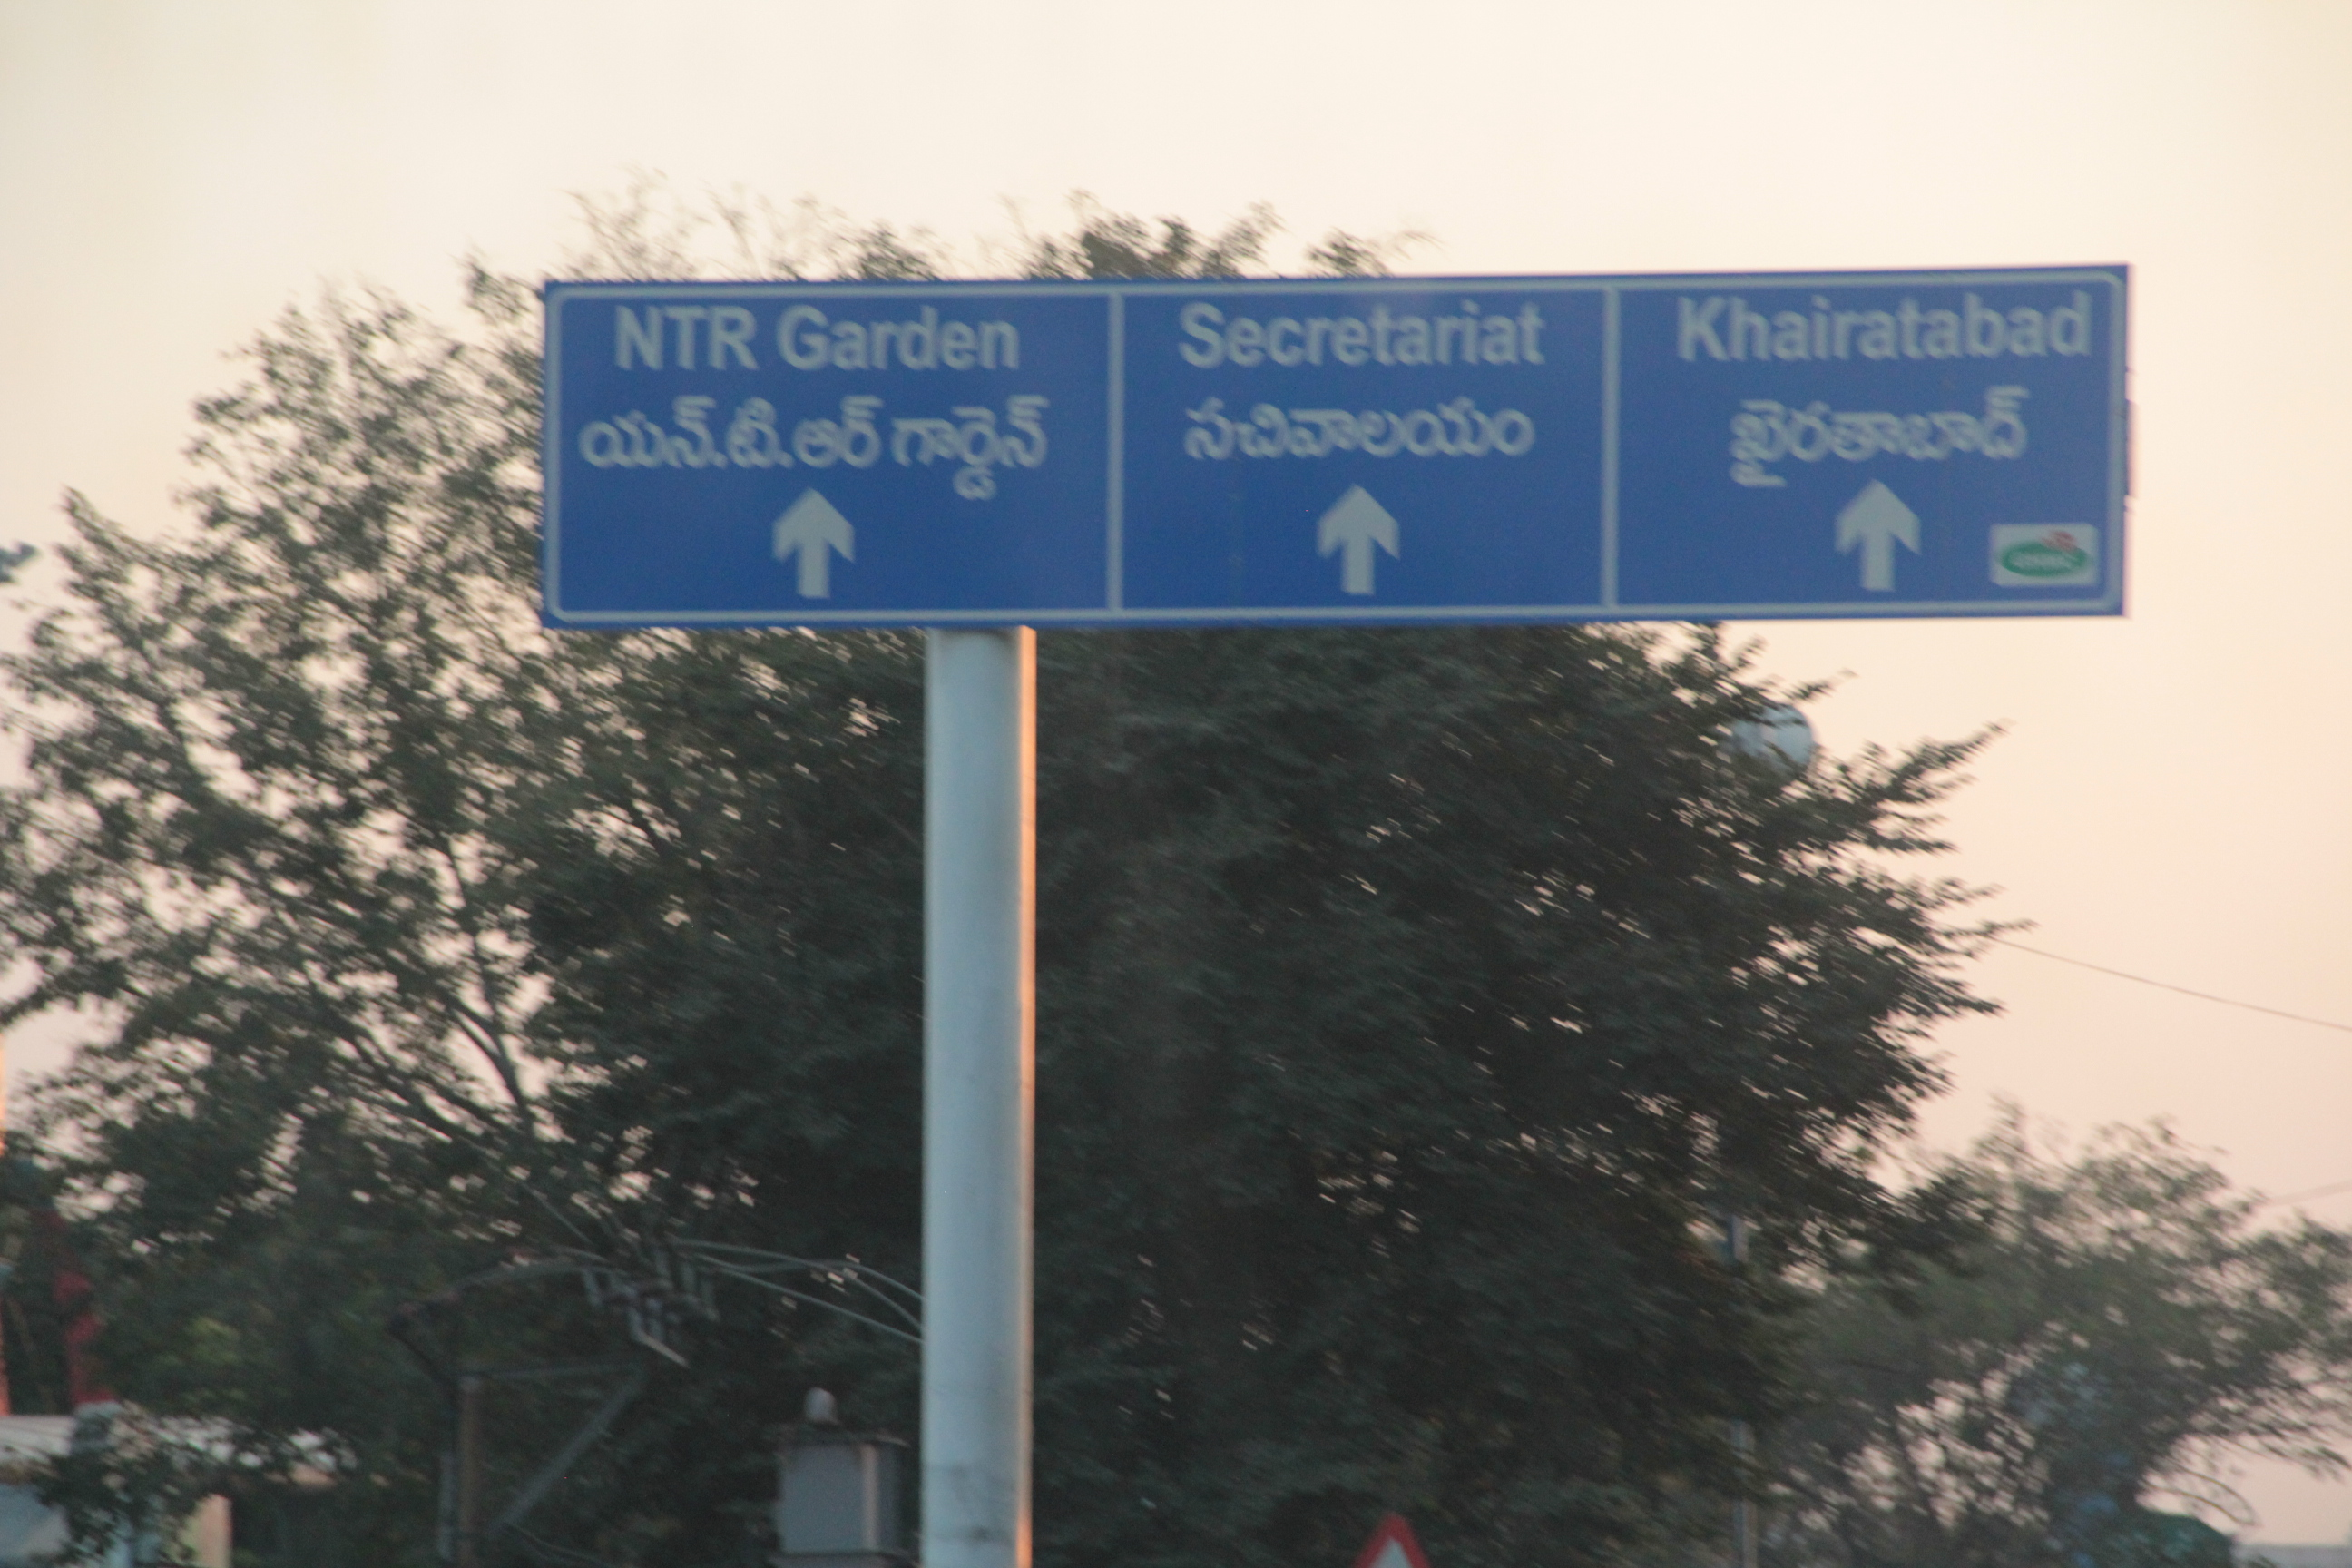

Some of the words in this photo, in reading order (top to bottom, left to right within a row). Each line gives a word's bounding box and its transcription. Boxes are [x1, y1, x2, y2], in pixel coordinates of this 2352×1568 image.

[601, 294, 762, 381] NTR
[769, 293, 1029, 383] Garden
[1170, 289, 1544, 374] Secretariat
[1667, 284, 2099, 368] Khairatabad
[570, 381, 1053, 509] యన్.టి.ఆర్ గార్డెన్
[1178, 389, 1538, 468] సచివాలయం
[1713, 376, 2036, 495] ఖైరతాబాద్